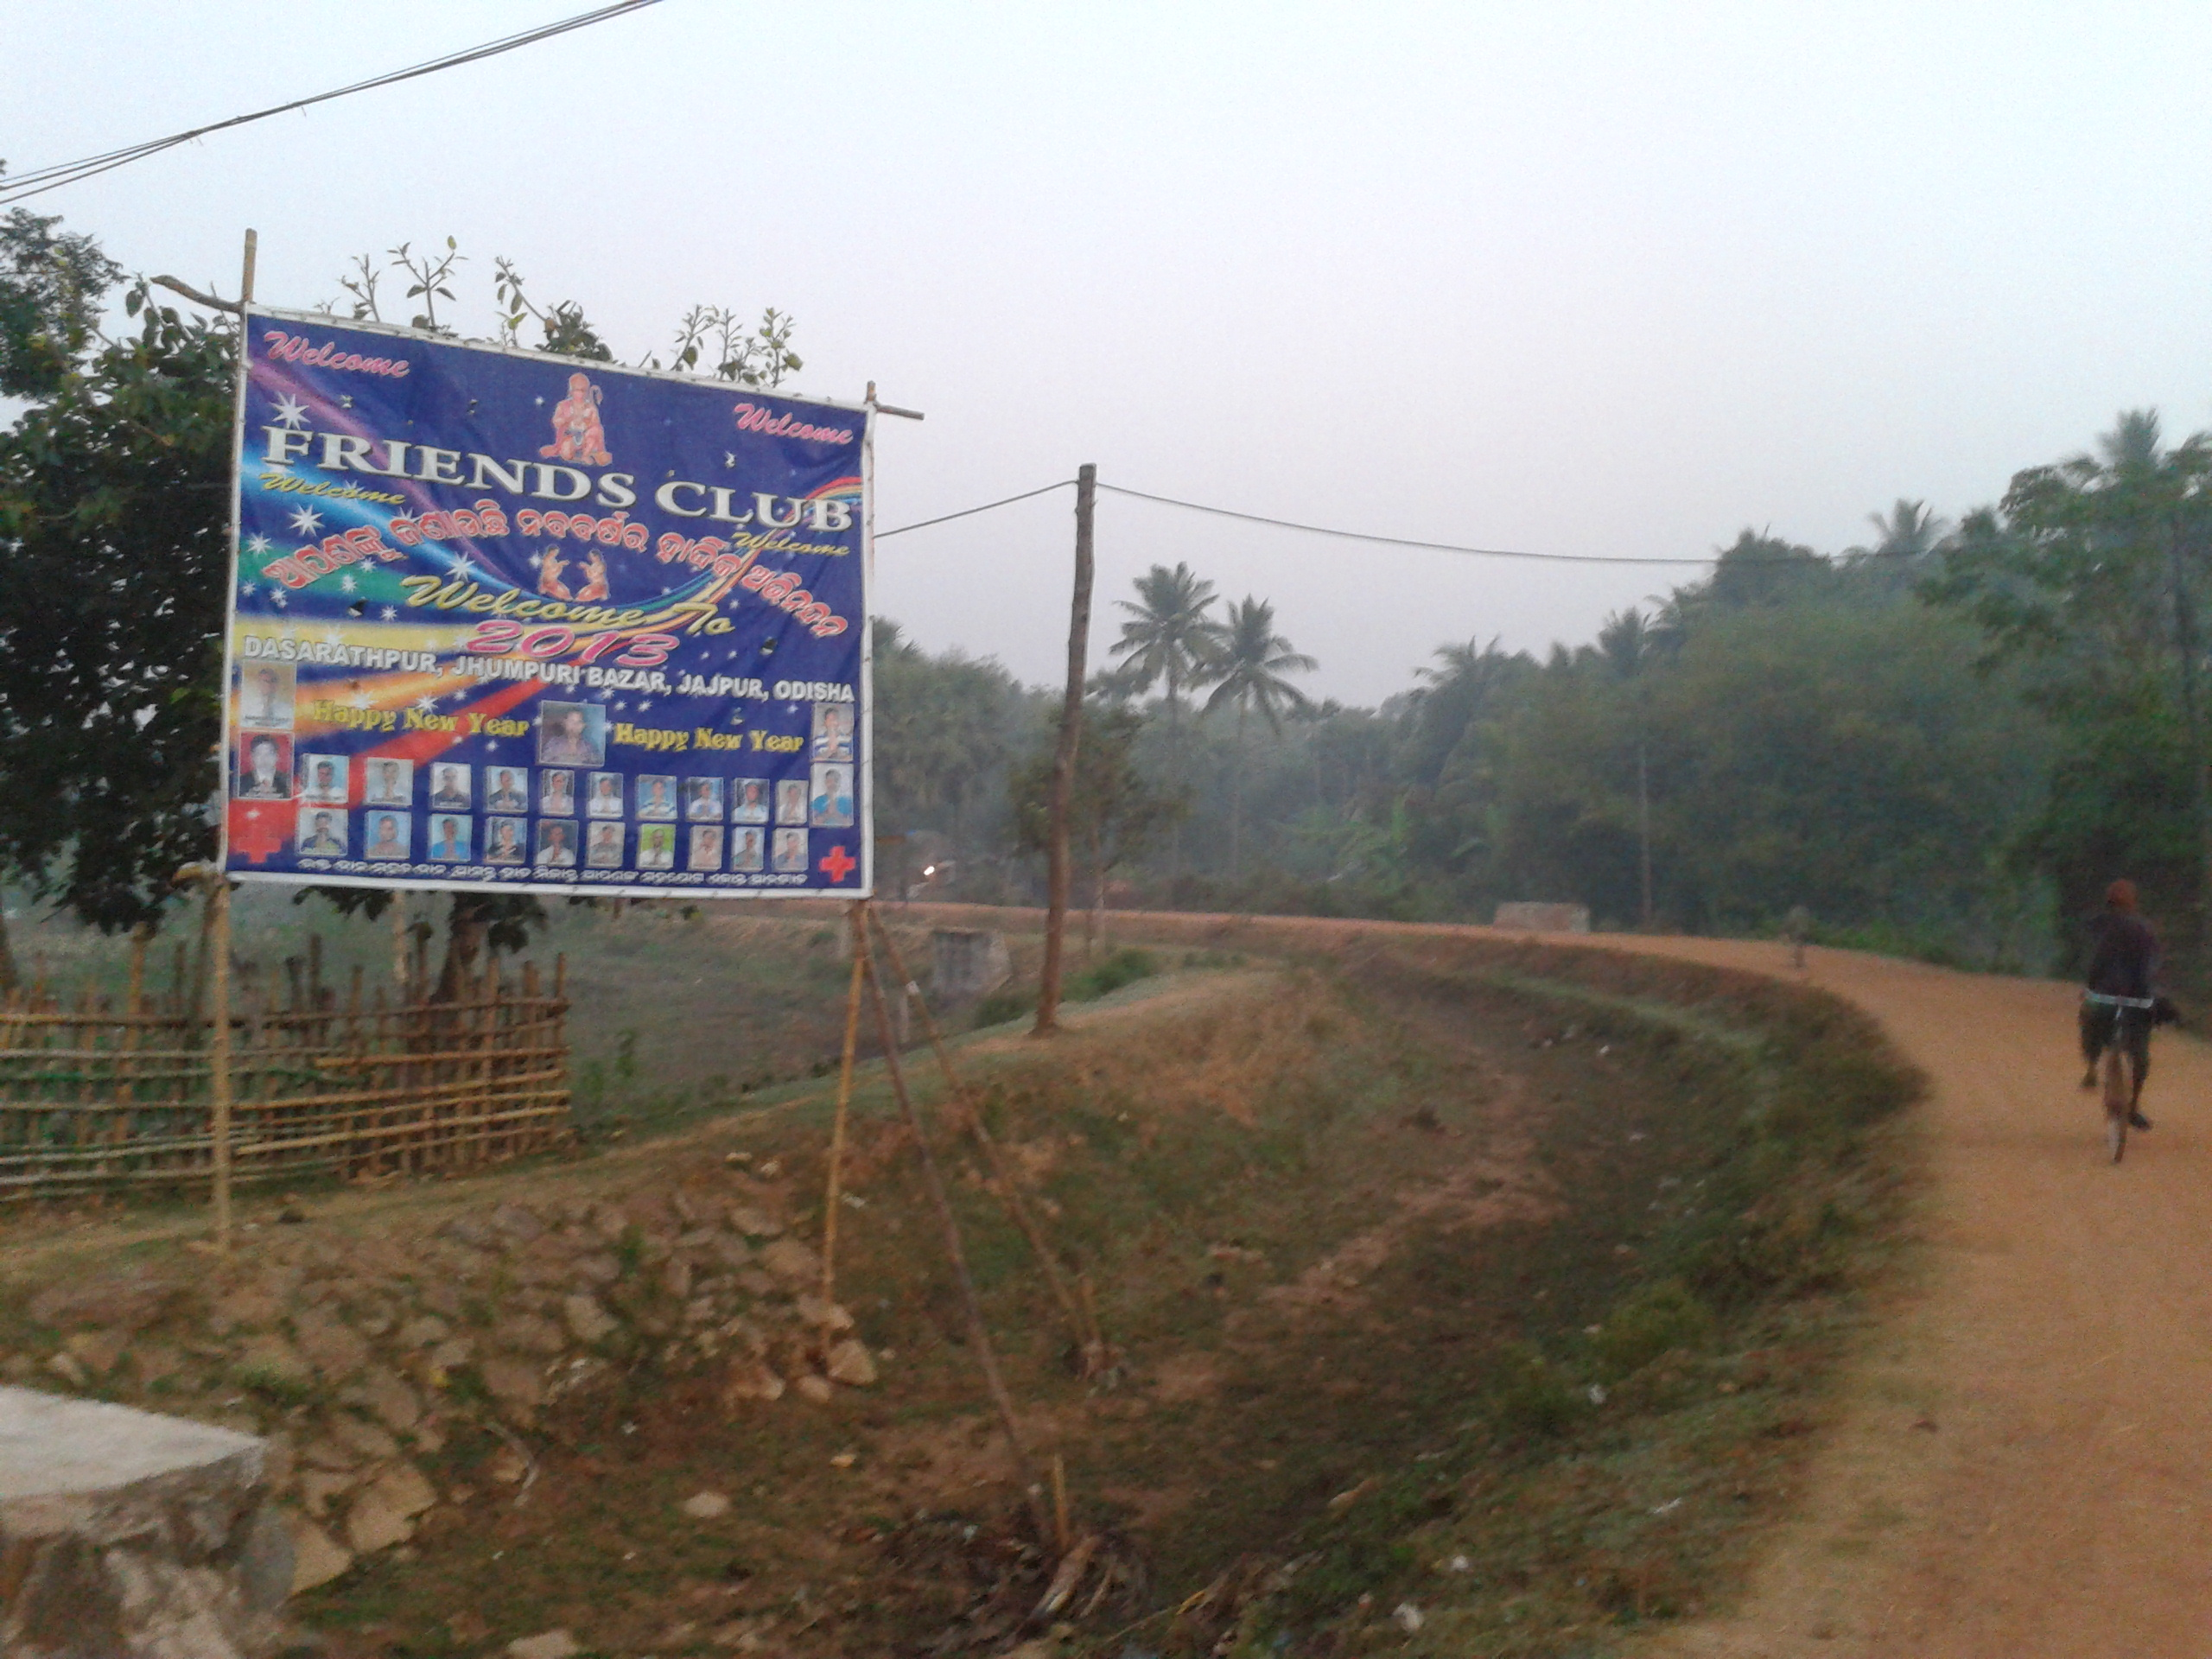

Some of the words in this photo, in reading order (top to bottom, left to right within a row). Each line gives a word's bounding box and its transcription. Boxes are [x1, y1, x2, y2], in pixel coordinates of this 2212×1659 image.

[264, 327, 410, 381] Welcome
[729, 398, 855, 445] Welcome
[257, 423, 642, 515] FRIENDS
[257, 517, 409, 592] ଆପଣଙ୍କୁ
[386, 493, 514, 551] ଜଣାଉଛି
[514, 505, 654, 556] ନବବଷର
[643, 478, 856, 535] CLUB
[730, 522, 853, 556] Welcome
[393, 569, 650, 636] Welcome
[676, 595, 735, 644] 7a
[739, 561, 855, 640] ଅଭିନନ୍ଦନ
[243, 633, 440, 677] DASARATHPUR.
[449, 654, 583, 688] JHUMPURI
[582, 663, 669, 696] BAZAR,
[675, 671, 768, 706] JAJPUR
[773, 675, 856, 704] ODISHA
[311, 691, 397, 734] Happy
[399, 702, 461, 733] New
[467, 706, 537, 738] Year
[611, 720, 692, 756] Happy
[690, 721, 746, 754] New
[746, 727, 807, 754] Year
[532, 861, 643, 888] ମିଳାନ୍ତୁ ଆପଣଙ୍କ